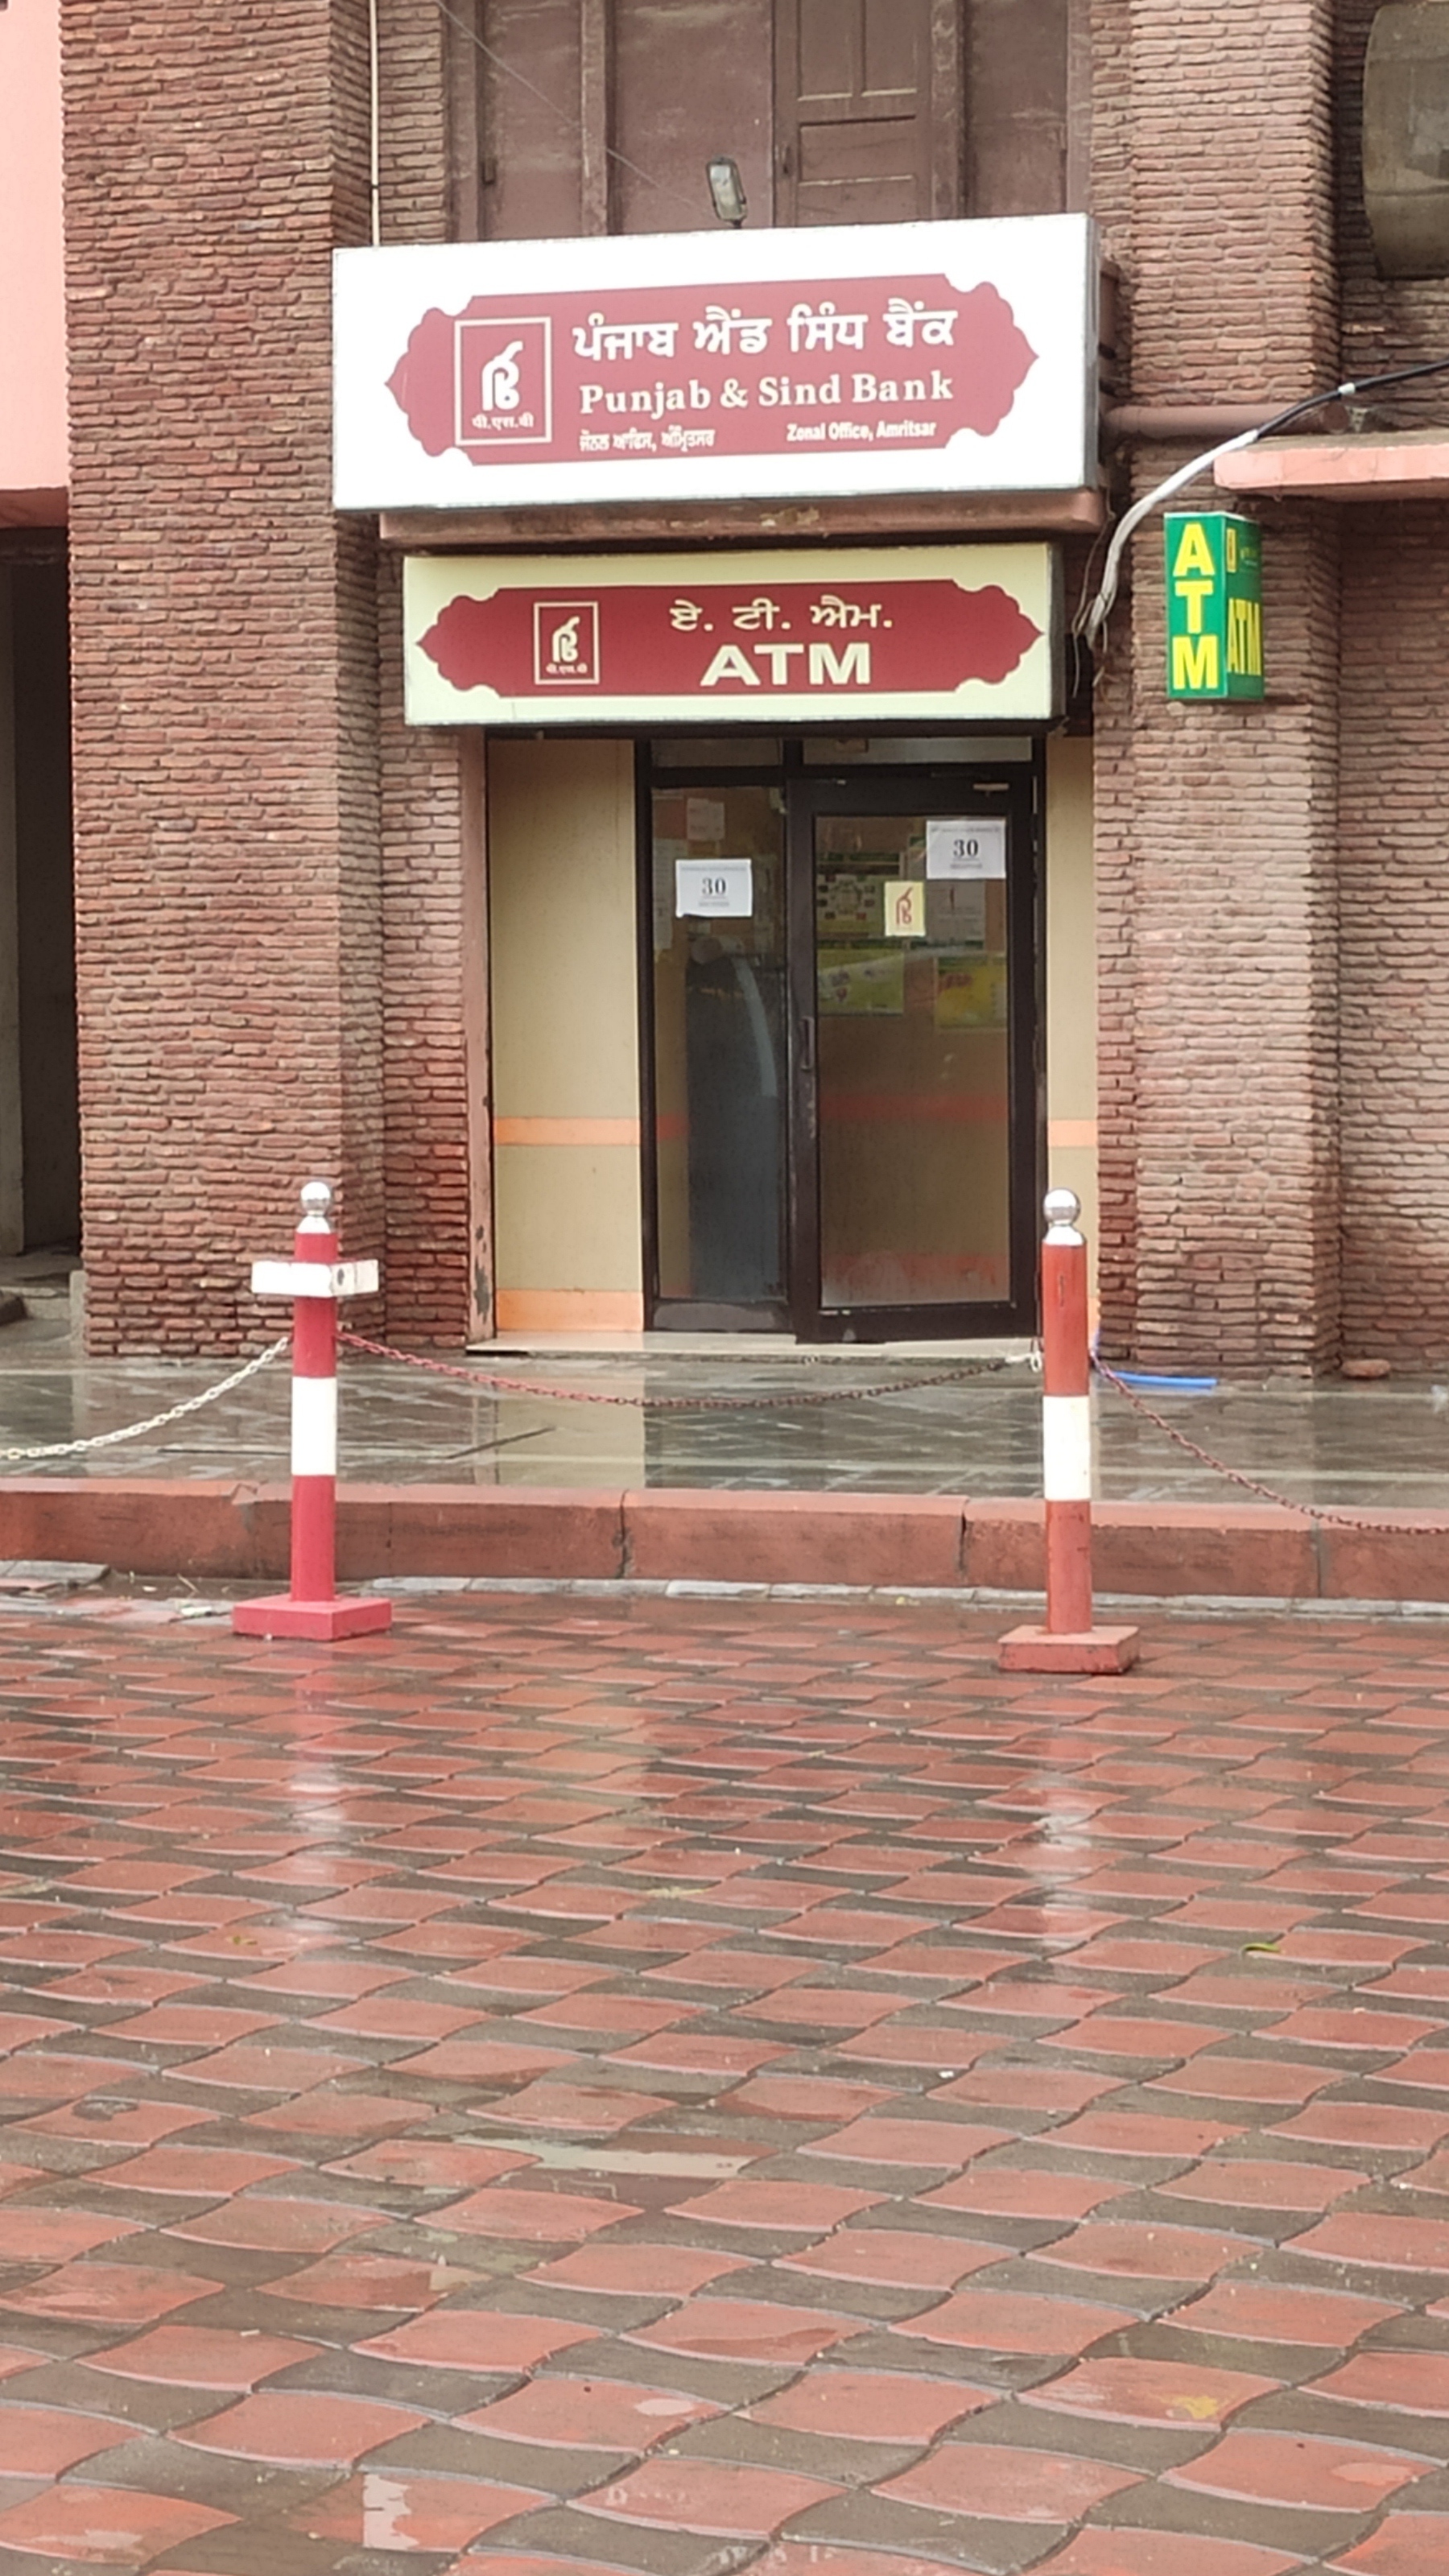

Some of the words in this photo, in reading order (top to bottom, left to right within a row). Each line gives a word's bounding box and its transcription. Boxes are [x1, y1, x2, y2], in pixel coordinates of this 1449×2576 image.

[564, 302, 685, 370] ਪੰਜਾਬ
[683, 299, 778, 364] ਐਂਡ
[778, 295, 876, 358] ਸਿੰਧ
[571, 370, 714, 425] Punjab
[716, 370, 753, 416] &
[748, 366, 845, 413] Sind
[849, 361, 957, 410] Bank
[658, 590, 899, 640] ਏ. ਟੀ. ਐਮ.
[1162, 516, 1223, 695] ATM
[688, 637, 877, 693] ATM
[947, 835, 983, 860] 30
[698, 876, 728, 898] 30